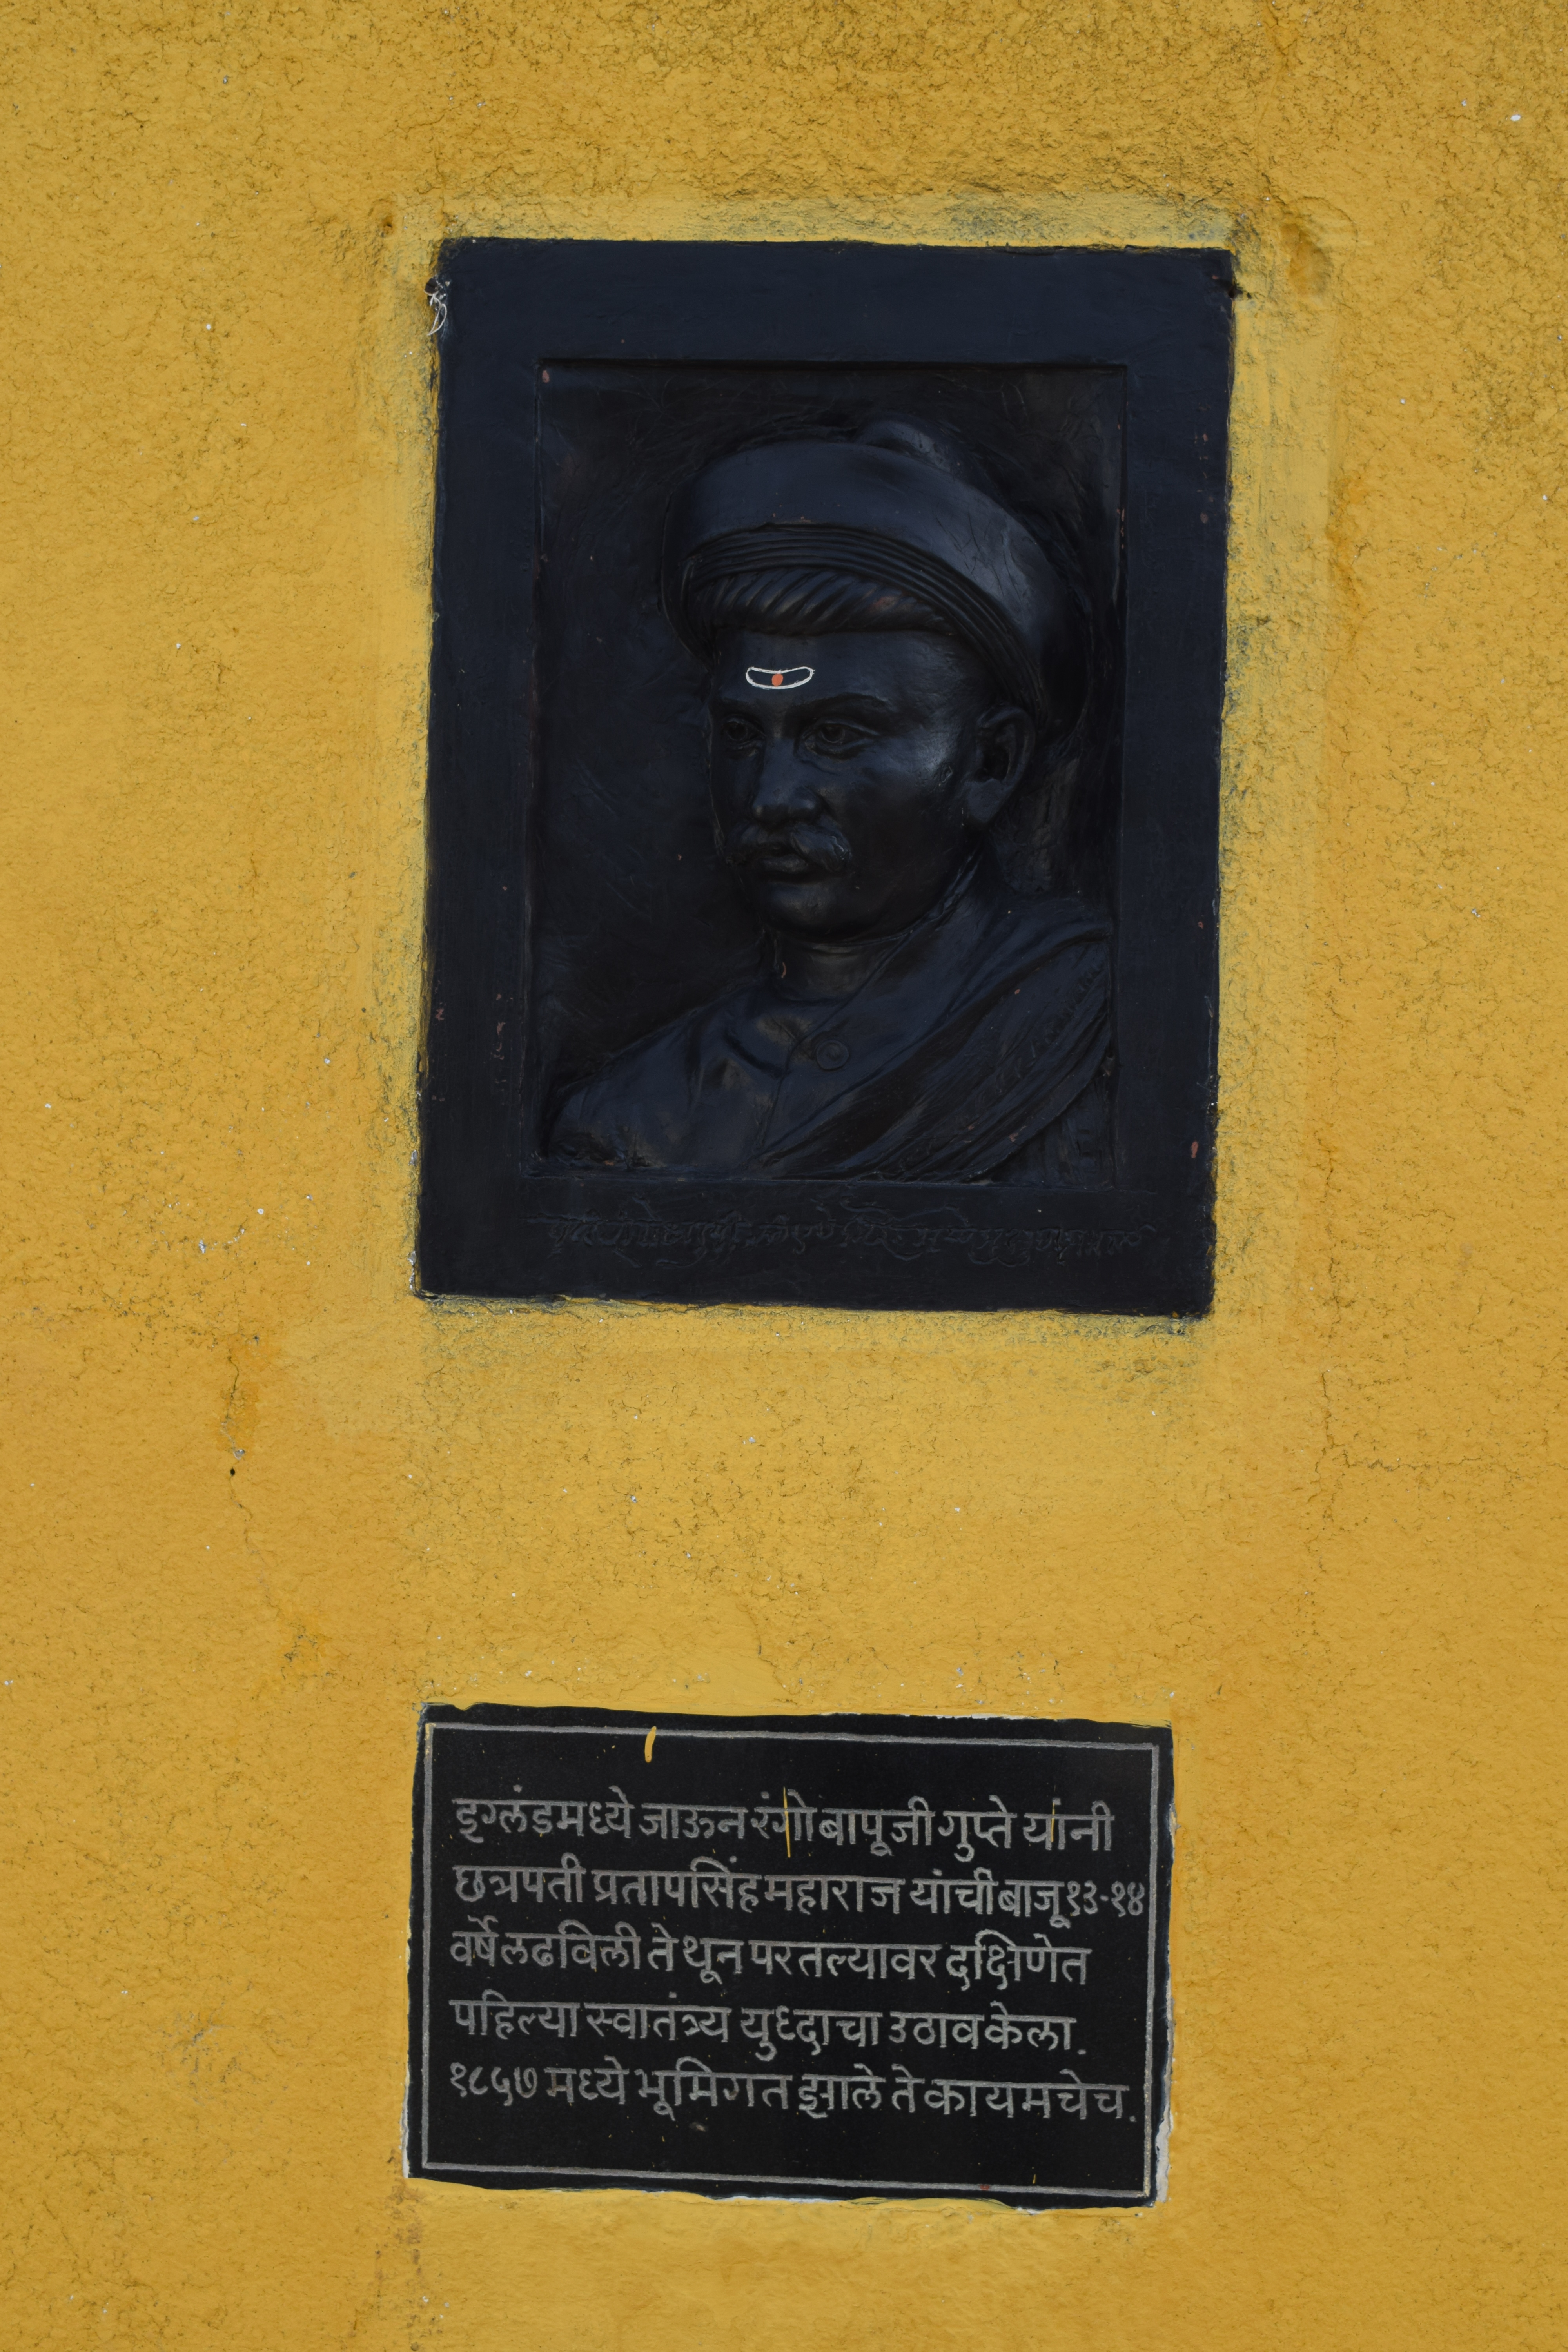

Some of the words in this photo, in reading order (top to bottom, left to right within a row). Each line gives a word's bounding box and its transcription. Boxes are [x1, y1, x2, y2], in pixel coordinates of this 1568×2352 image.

[447, 1781, 638, 1847] इग्लंडमध्ये
[635, 1796, 751, 1844] जाऊन
[747, 1783, 820, 1846] रंगो
[815, 1791, 942, 1863] बापूजी
[936, 1791, 1021, 1867] गुप्ते
[1019, 1790, 1127, 1859] यांनी
[449, 1849, 589, 1907] छत्रपती
[588, 1851, 765, 1919] प्रतापसिंह
[761, 1871, 907, 1918] महाराज
[906, 1864, 1002, 1918] यांची
[994, 1874, 1077, 1935] बाजू
[1063, 1876, 1146, 1924] १३-१४
[445, 1910, 501, 1971] वर्षे
[497, 1913, 643, 1973] लढविली
[643, 1919, 747, 1992] तेथून
[746, 1933, 946, 1982] परतल्यावर
[942, 1926, 1101, 1997] दक्षिणेत
[443, 1982, 583, 2051] पहिल्या
[580, 1988, 735, 2047] स्वातंत्र्य
[735, 2000, 886, 2065] युध्दाचा
[883, 2006, 987, 2056] उठाव
[982, 1997, 1093, 2058] केला.
[444, 2060, 540, 2111] १८५७
[540, 2051, 633, 2111] मध्ये
[630, 2053, 796, 2126] भूमिगत
[793, 2059, 890, 2125] झाले
[887, 2059, 928, 2117] ते
[921, 2063, 1141, 2124] कायमचेच,